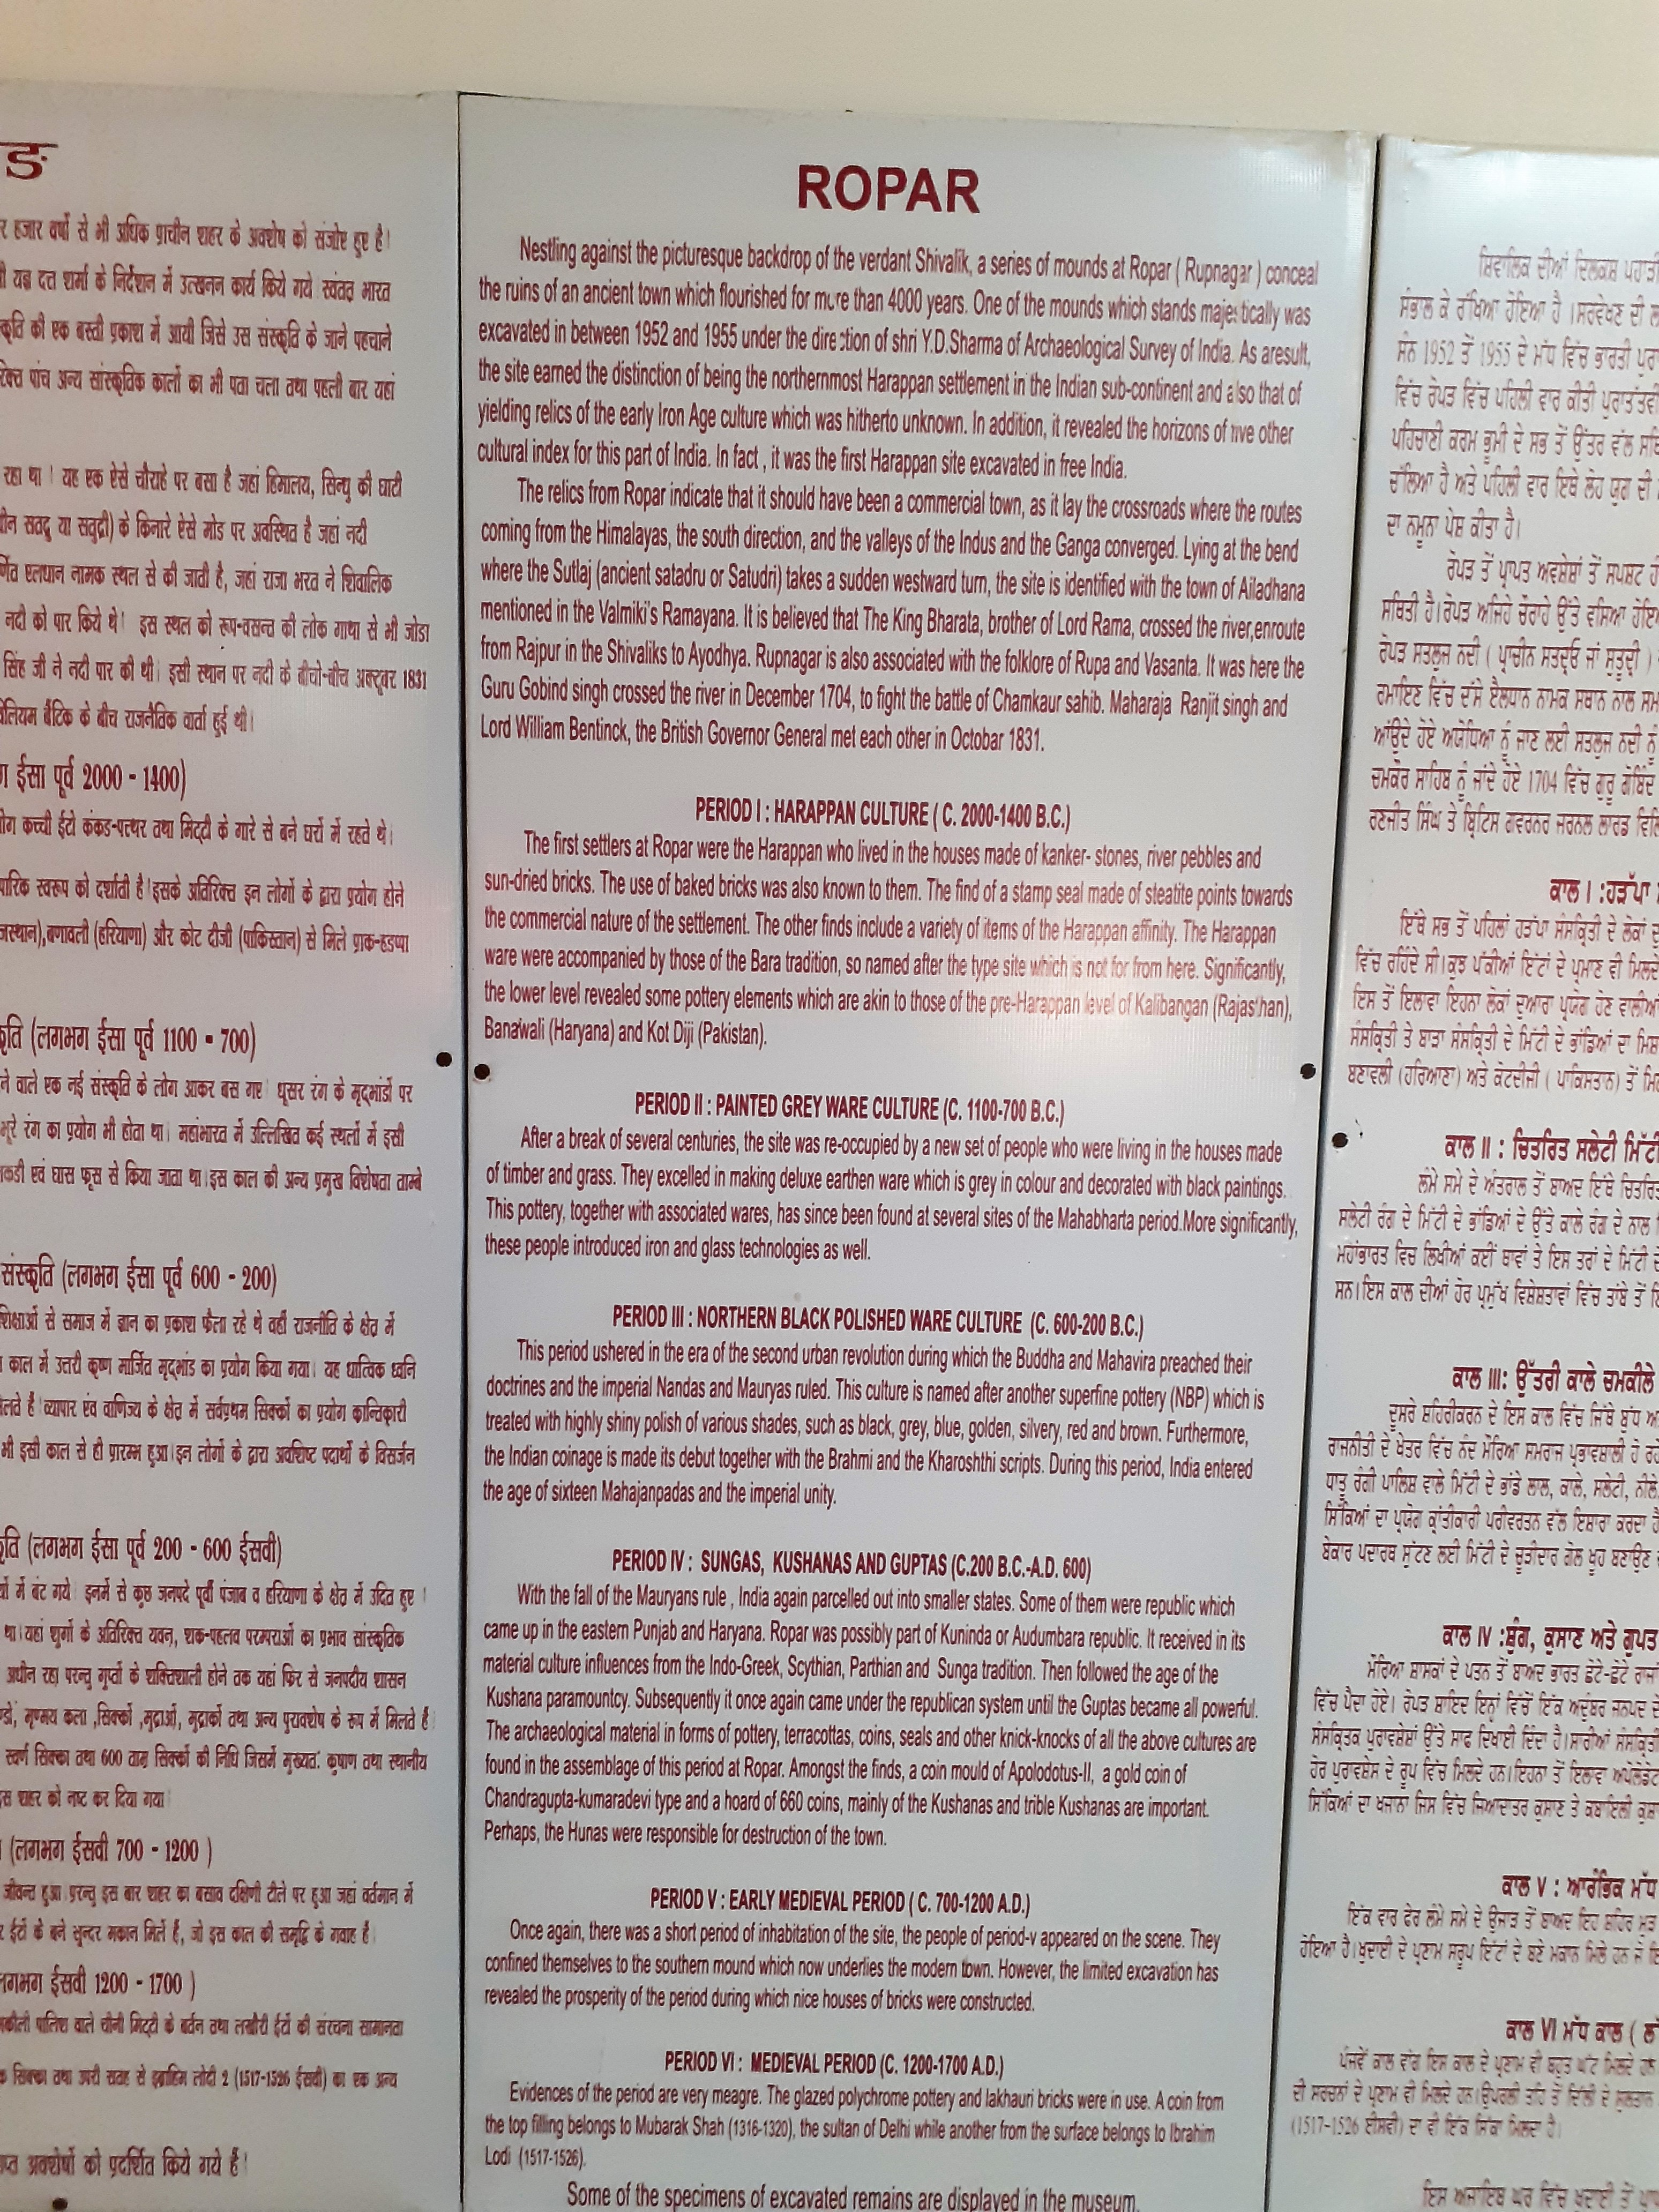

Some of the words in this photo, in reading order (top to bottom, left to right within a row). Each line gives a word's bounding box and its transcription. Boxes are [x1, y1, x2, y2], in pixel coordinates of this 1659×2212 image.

[1054, 606, 1091, 639] Lord
[1088, 608, 1133, 640] Rama
[1135, 610, 1195, 643] crossed
[1194, 610, 1220, 643] the
[1220, 612, 1254, 643] river,
[1252, 616, 1310, 644] enroute
[1375, 588, 1423, 624] ਸਥਿਤੀ
[1421, 584, 1439, 625] ਹੈ
[1438, 586, 1475, 627] ਰੋਪੜ
[1473, 590, 1516, 631] ਅਜਿਹੇ
[1513, 589, 1553, 631] ਚੇਰਾਹੇ
[1553, 589, 1584, 634] ਉੱਤੇ
[1583, 593, 1630, 633] ਵਸਿਆ
[1, 645, 28, 683] सिंह
[27, 648, 51, 682] जी
[50, 647, 65, 682] ने
[39, 693, 76, 731] बैंटिक
[64, 651, 93, 682] नदी
[76, 695, 95, 730] केे
[92, 657, 118, 685] पा‍र
[95, 698, 123, 731] बीच
[117, 650, 138, 684] को
[137, 651, 156, 685] थी
[123, 698, 180, 735] राजनैतिक
[164, 653, 194, 689] इसी
[181, 699, 211, 735] वार्ता
[193, 659, 229, 689] स्‍थान
[207, 700, 231, 743] हुई
[229, 660, 249, 688] पर
[231, 698, 252, 735] थ़ी
[250, 655, 276, 687] नदी
[276, 656, 294, 687] क‍े
[295, 656, 354, 692] बीचो-बीच
[354, 663, 398, 699] अक्टूबर
[400, 666, 431, 691] 1831
[476, 631, 513, 663] from
[478, 710, 513, 740] Lord
[477, 672, 516, 703] Guru
[514, 632, 562, 670] Rajpur
[513, 711, 566, 744] William
[516, 672, 571, 703] Gobind
[562, 634, 579, 664] in
[570, 673, 610, 711] singh
[578, 636, 604, 668] the
[565, 713, 629, 744] Bentinck
[604, 636, 669, 666] Shivaliks
[610, 676, 667, 706] crossed
[633, 714, 660, 746] the
[668, 637, 685, 669] to
[667, 678, 693, 708] the
[657, 715, 704, 746] British
[691, 679, 726, 709] river
[685, 636, 749, 677] Ayodhya
[725, 681, 743, 709] in
[704, 718, 771, 748] Governor
[743, 681, 817, 711] December
[753, 639, 823, 679] Rupnagar
[772, 718, 829, 749] General
[821, 640, 839, 672] is
[819, 681, 856, 712] 1704,
[829, 723, 858, 751] met
[839, 642, 872, 673] also
[857, 683, 876, 713] to
[857, 721, 894, 751] each
[875, 679, 908, 720] fight
[870, 644, 948, 675] associated
[893, 723, 933, 751] other
[908, 684, 933, 714] the
[933, 723, 948, 753] in
[932, 682, 974, 713] battle
[947, 646, 978, 675] with
[948, 720, 1008, 756] Octobar
[973, 681, 992, 715] of
[977, 647, 1004, 677] the
[1007, 723, 1042, 753] 1831
[992, 684, 1065, 718] Chamkaur
[1003, 645, 1056, 678] folklore
[1055, 645, 1074, 677] of
[1063, 684, 1103, 717] sahib
[1072, 645, 1112, 684] Rupa
[1111, 648, 1142, 679] and
[1107, 684, 1175, 724] Maharaja
[1140, 649, 1199, 680] Vasanta
[1177, 684, 1222, 728] Ranjit
[1205, 648, 1217, 679] It
[1216, 657, 1248, 681] was
[1221, 689, 1263, 726] singh
[1247, 651, 1283, 681] here
[1261, 691, 1292, 720] and
[1282, 652, 1308, 681] the
[1370, 713, 1416, 757] ਆਂਉਦੇ
[1375, 629, 1413, 667] ਰੋਪੜ
[1371, 672, 1426, 711] ਰਮਾਇਣ
[1413, 711, 1439, 753] ਹੋਏ
[1410, 639, 1455, 672] ਸਤਲੁਜ
[1424, 672, 1459, 711] ਵਿੱਚ
[1438, 715, 1499, 752] ਅਯੋਧਿਆ
[1455, 631, 1484, 670] ਨਦੀ
[1458, 674, 1488, 715] ਦਸੇ
[1495, 715, 1515, 764] ਨੂੰ
[1487, 671, 1535, 712] ੲੈਲਧਾਨ
[1493, 633, 1538, 677] ਪ੍ਰਾਚੀਨ
[1512, 723, 1542, 754] ਜਾਣ
[1534, 683, 1573, 714] ਨਾਮਕ
[1541, 717, 1574, 757] ਲਈ
[1537, 633, 1585, 678] ਸਤਦ੍ਰਓ
[1571, 685, 1609, 714] ਸਥਾਨ
[1582, 638, 1604, 675] ਜਾਂ
[1571, 721, 1618, 763] ਸਤਲੁਜ
[1601, 635, 1645, 684] ਸੁਤੂਦੀ੍
[1608, 685, 1640, 715] ਨਾਲ
[1616, 721, 1646, 759] ਨਦੀ
[1645, 720, 1658, 767] ਨੂੰ
[10, 751, 49, 800] ईसा
[48, 751, 79, 801] पूर्व
[80, 760, 124, 795] 2000
[138, 763, 183, 796] 1400
[1365, 757, 1413, 795] ਚਮਕੋਰ
[1412, 754, 1454, 795] ਸਾਹਿਬ
[1451, 754, 1472, 805] ਨੂੰ
[1468, 757, 1500, 796] ਜਾਏ
[1498, 759, 1526, 797] ਹੋਏ
[1526, 763, 1561, 798] 1704
[1560, 760, 1594, 797] ਵਿਂਚ
[1590, 769, 1620, 809] ਗੁਰੂ
[1619, 761, 1657, 799] ਗੋਬਿੰਦ
[18, 806, 56, 842] कच्ची
[54, 805, 79, 842] ईटो
[78, 808, 151, 843] कंकङ-पत्थर
[150, 816, 177, 842] तथा
[175, 809, 214, 846] मिट्टी
[214, 810, 233, 846] क‍े
[232, 812, 259, 846] गारे
[260, 811, 275, 844] से
[276, 813, 301, 847] बने
[301, 814, 327, 847] घरों
[328, 814, 346, 848] में
[345, 814, 373, 850] रहते
[374, 816, 391, 848] थे
[520, 824, 551, 856] The
[551, 827, 582, 858] first
[581, 831, 634, 858] settlers
[634, 831, 651, 859] at
[651, 829, 696, 866] Ropar
[694, 838, 731, 861] were
[692, 793, 754, 824] PERIOD
[730, 834, 756, 863] the
[754, 797, 764, 826] I
[755, 836, 826, 870] Harappan
[773, 796, 858, 828] HARAPPAN
[824, 836, 856, 864] who
[855, 836, 891, 866] lived
[858, 798, 931, 830] CULTURE
[891, 838, 907, 866] in
[904, 838, 930, 866] the
[939, 797, 958, 831] C.
[931, 840, 983, 866] houses
[959, 798, 995, 829] 2000
[981, 838, 1022, 868] made
[997, 800, 1033, 829] 1400
[1022, 838, 1041, 866] of
[1034, 798, 1067, 831] B.C.
[1038, 840, 1141, 869] kanker-stones
[1146, 841, 1180, 871] river
[1176, 841, 1235, 876] pebbles
[1233, 841, 1267, 874] and
[1364, 799, 1413, 838] ਰਣਜੀਤ
[1412, 796, 1445, 837] ਸਿੰਘ
[1444, 796, 1460, 835] ਤੇ
[1460, 798, 1503, 843] ਬ੍ਰਿਟਿਸ
[1501, 808, 1551, 839] ਗਵਰਨਰ
[1551, 810, 1597, 840] ਜਰਨਲ
[1594, 811, 1634, 839] ਲਾਰਡ
[34, 874, 74, 902] स्वरूप
[73, 868, 93, 903] काे
[92, 866, 133, 905] दर्शाती
[132, 869, 148, 905] है॓
[150, 868, 185, 907] इसके
[185, 871, 241, 908] अतिरिक्‍त
[240, 880, 263, 907] इन
[263, 873, 300, 909] लोर्गो
[296, 875, 316, 909] केे
[314, 881, 345, 916] द्वारा
[344, 876, 380, 912] प्रयोग
[380, 876, 410, 912] होने
[482, 865, 549, 894] sun-dried
[549, 866, 593, 894] bricks.
[597, 864, 629, 898] The
[629, 870, 655, 899] use
[654, 869, 674, 899] of
[672, 869, 716, 900] baked
[716, 872, 758, 902] bricks
[759, 875, 790, 902] was
[789, 873, 821, 902] also
[821, 872, 868, 902] known
[866, 873, 885, 903] to
[883, 875, 921, 905] them.
[924, 872, 953, 903] The
[954, 876, 982, 904] ੧੦੦
[980, 876, 999, 904] of
[998, 881, 1010, 904] a
[1010, 878, 1055, 914] stamp
[1052, 878, 1087, 908] seal
[1085, 880, 1128, 907] made
[1125, 877, 1146, 906] of
[1142, 878, 1195, 908] steatite
[1193, 878, 1240, 912] points
[1238, 881, 1296, 908] towards
[1544, 875, 1585, 907] ਕਾਲ
[1584, 877, 1596, 908] I
[1604, 866, 1653, 910] ਹੜੱਪਾ
[44, 917, 92, 949] बणावली
[96, 914, 145, 951] हरियाणा
[150, 916, 176, 950] और
[176, 918, 206, 952] कोट
[203, 918, 238, 952] दीजी
[242, 917, 298, 954] पाकिस्तान
[302, 920, 320, 954] से
[320, 920, 350, 958] मिले
[350, 929, 412, 956] प्राक-हडप्पा
[481, 900, 509, 930] the
[482, 944, 520, 967] ware
[518, 945, 556, 968] were
[507, 905, 589, 932] commercial
[557, 945, 647, 975] accompanied
[589, 906, 636, 935] nature
[635, 906, 652, 935] of
[647, 943, 668, 977] by
[651, 905, 678, 937] the
[667, 944, 707, 974] those
[678, 907, 749, 936] settlement,
[707, 946, 725, 975] of
[724, 946, 748, 975] the
[750, 947, 784, 975] Bara
[752, 907, 783, 939] The
[782, 912, 819, 939] other
[783, 946, 839, 977] tradition
[818, 909, 855, 939] finds
[843, 953, 863, 976] SO
[855, 910, 906, 944] include
[862, 951, 911, 977] named
[904, 917, 919, 939] a
[911, 950, 946, 977] after
[917, 914, 965, 947] variety
[945, 951, 969, 979] the
[964, 911, 982, 941] of
[968, 951, 1001, 985] type
[980, 913, 1020, 944] items
[1000, 949, 1027, 978] site
[1020, 914, 1037, 941] of
[1036, 915, 1060, 944] 101੦
[1027, 950, 1070, 981] which
[1069, 954, 1085, 983] is
[1060, 913, 1130, 953] Harappan
[1084, 952, 1108, 982] not
[1109, 952, 1131, 982] for
[1129, 949, 1165, 981] from
[1131, 913, 1178, 950] affinity.
[1163, 952, 1201, 980] here.
[1179, 915, 1209, 946] The
[1200, 951, 1287, 988] Significantly,
[1210, 916, 1280, 951] Harappan
[1349, 938, 1385, 979] ਵਿਚ
[1382, 941, 1423, 980] ਰਹਿੰਦੇ
[1393, 900, 1431, 941] ਇੱਥੇ
[1421, 943, 1443, 979] ਸੀ
[1428, 912, 1454, 940] ਸਭ
[1445, 950, 1470, 982] ਕੁਤ
[1453, 905, 1474, 941] ਤੋਂ
[1470, 903, 1512, 941] ਪਹਿਲਾਂ
[1469, 944, 1517, 980] ਪਕੀਆਂ
[1511, 911, 1551, 941] ਹੜਂਪਾ
[1518, 946, 1555, 984] ਇੱਟਾੇ
[1551, 947, 1568, 983] ਦੇ
[1550, 907, 1605, 952] ਸਸਕ੍ਰਿਤੀ
[1567, 952, 1608, 986] ਪ੍ਰਮਾਣ
[1604, 909, 1620, 946] ਦੇ
[1605, 947, 1626, 984] ਵੀ
[1620, 912, 1649, 946] ਲੋਕਾਂ
[482, 974, 507, 1005] the
[509, 977, 547, 1006] lower
[548, 978, 583, 1008] level
[582, 980, 644, 1007] revealed
[641, 985, 683, 1009] some
[682, 983, 734, 1017] pottery
[733, 983, 794, 1015] elements
[796, 985, 836, 1012] which
[835, 991, 860, 1011] are
[861, 985, 891, 1014] akin
[890, 988, 908, 1012] to
[907, 987, 949, 1013] those
[947, 984, 965, 1015] of
[963, 986, 988, 1016] the
[987, 985, 1082, 1023] pre-Harappan
[1082, 984, 1118, 1024] level
[1116, 987, 1135, 1023] of
[1134, 988, 1212, 1023] Kalibangan
[1215, 991, 1288, 1025] Rajasthan
[1349, 978, 1380, 1015] ਇਸ
[1379, 980, 1398, 1015] ਤੋਂ
[1396, 981, 1443, 1017] ਇਲਾਵ
[1442, 982, 1484, 1019] ਇਹਨਾ
[1482, 983, 1514, 1017] ਲੇਕਾਂ
[1513, 991, 1558, 1023] ਦੁਆਰ
[1557, 985, 1593, 1026] ਪ੍ਰਯੋਗ
[1593, 985, 1618, 1022] ਹੋਣ
[1616, 988, 1658, 1022] ਵਾਲੀਆਂ
[34, 1023, 93, 1055] लगभग
[93, 1013, 129, 1058] ईसा
[129, 1015, 156, 1066] पूर्व
[160, 1021, 201, 1056] 1100
[217, 1024, 252, 1057] 700
[482, 1013, 549, 1043] Banawali
[550, 1018, 610, 1048] Haryana
[616, 1017, 646, 1043] and
[646, 1014, 672, 1045] Kot
[671, 1019, 697, 1050] Diji
[698, 1015, 761, 1050] Pakistan
[1347, 1015, 1402, 1056] ਸੰਸਕ੍ਰਿਤੀ
[1402, 1015, 1416, 1053] ਤੇ
[1415, 1024, 1447, 1054] ਬਾੜਾ
[1446, 1019, 1501, 1057] ਸੇਸਕ੍ਰਿਤ
[1499, 1018, 1516, 1054] ਦੇ
[1516, 1021, 1551, 1057] ਸਿਂਟੀ
[1551, 1022, 1568, 1055] ਦੇ
[1566, 1019, 1617, 1059] ਭਾਂਡਿਆਂ
[1614, 1030, 1635, 1057] ਦਾ
[13, 1065, 41, 1096] वाले
[40, 1072, 65, 1097] एक
[64, 1066, 88, 1103] नई
[87, 1065, 134, 1105] संस्कृति
[133, 1068, 150, 1101] के
[151, 1069, 181, 1101] लोग
[183, 1075, 218, 1101] आकर
[218, 1075, 242, 1102] बस
[243, 1078, 265, 1102] ਗੲ
[272, 1078, 308, 1111] धूसर
[307, 1069, 332, 1109] रंग
[331, 1070, 350, 1105] के
[349, 1072, 397, 1112] मृद्‌भांडों
[396, 1081, 416, 1104] पर
[633, 1088, 692, 1120] PERIOD
[692, 1089, 706, 1119] II
[714, 1090, 779, 1119] PAINTED
[778, 1090, 824, 1120] GREY
[824, 1090, 872, 1123] WARE
[871, 1090, 941, 1123] CULTURE
[945, 1093, 960, 1123] C
[965, 1094, 999, 1124] 1100
[999, 1094, 1029, 1124] 700